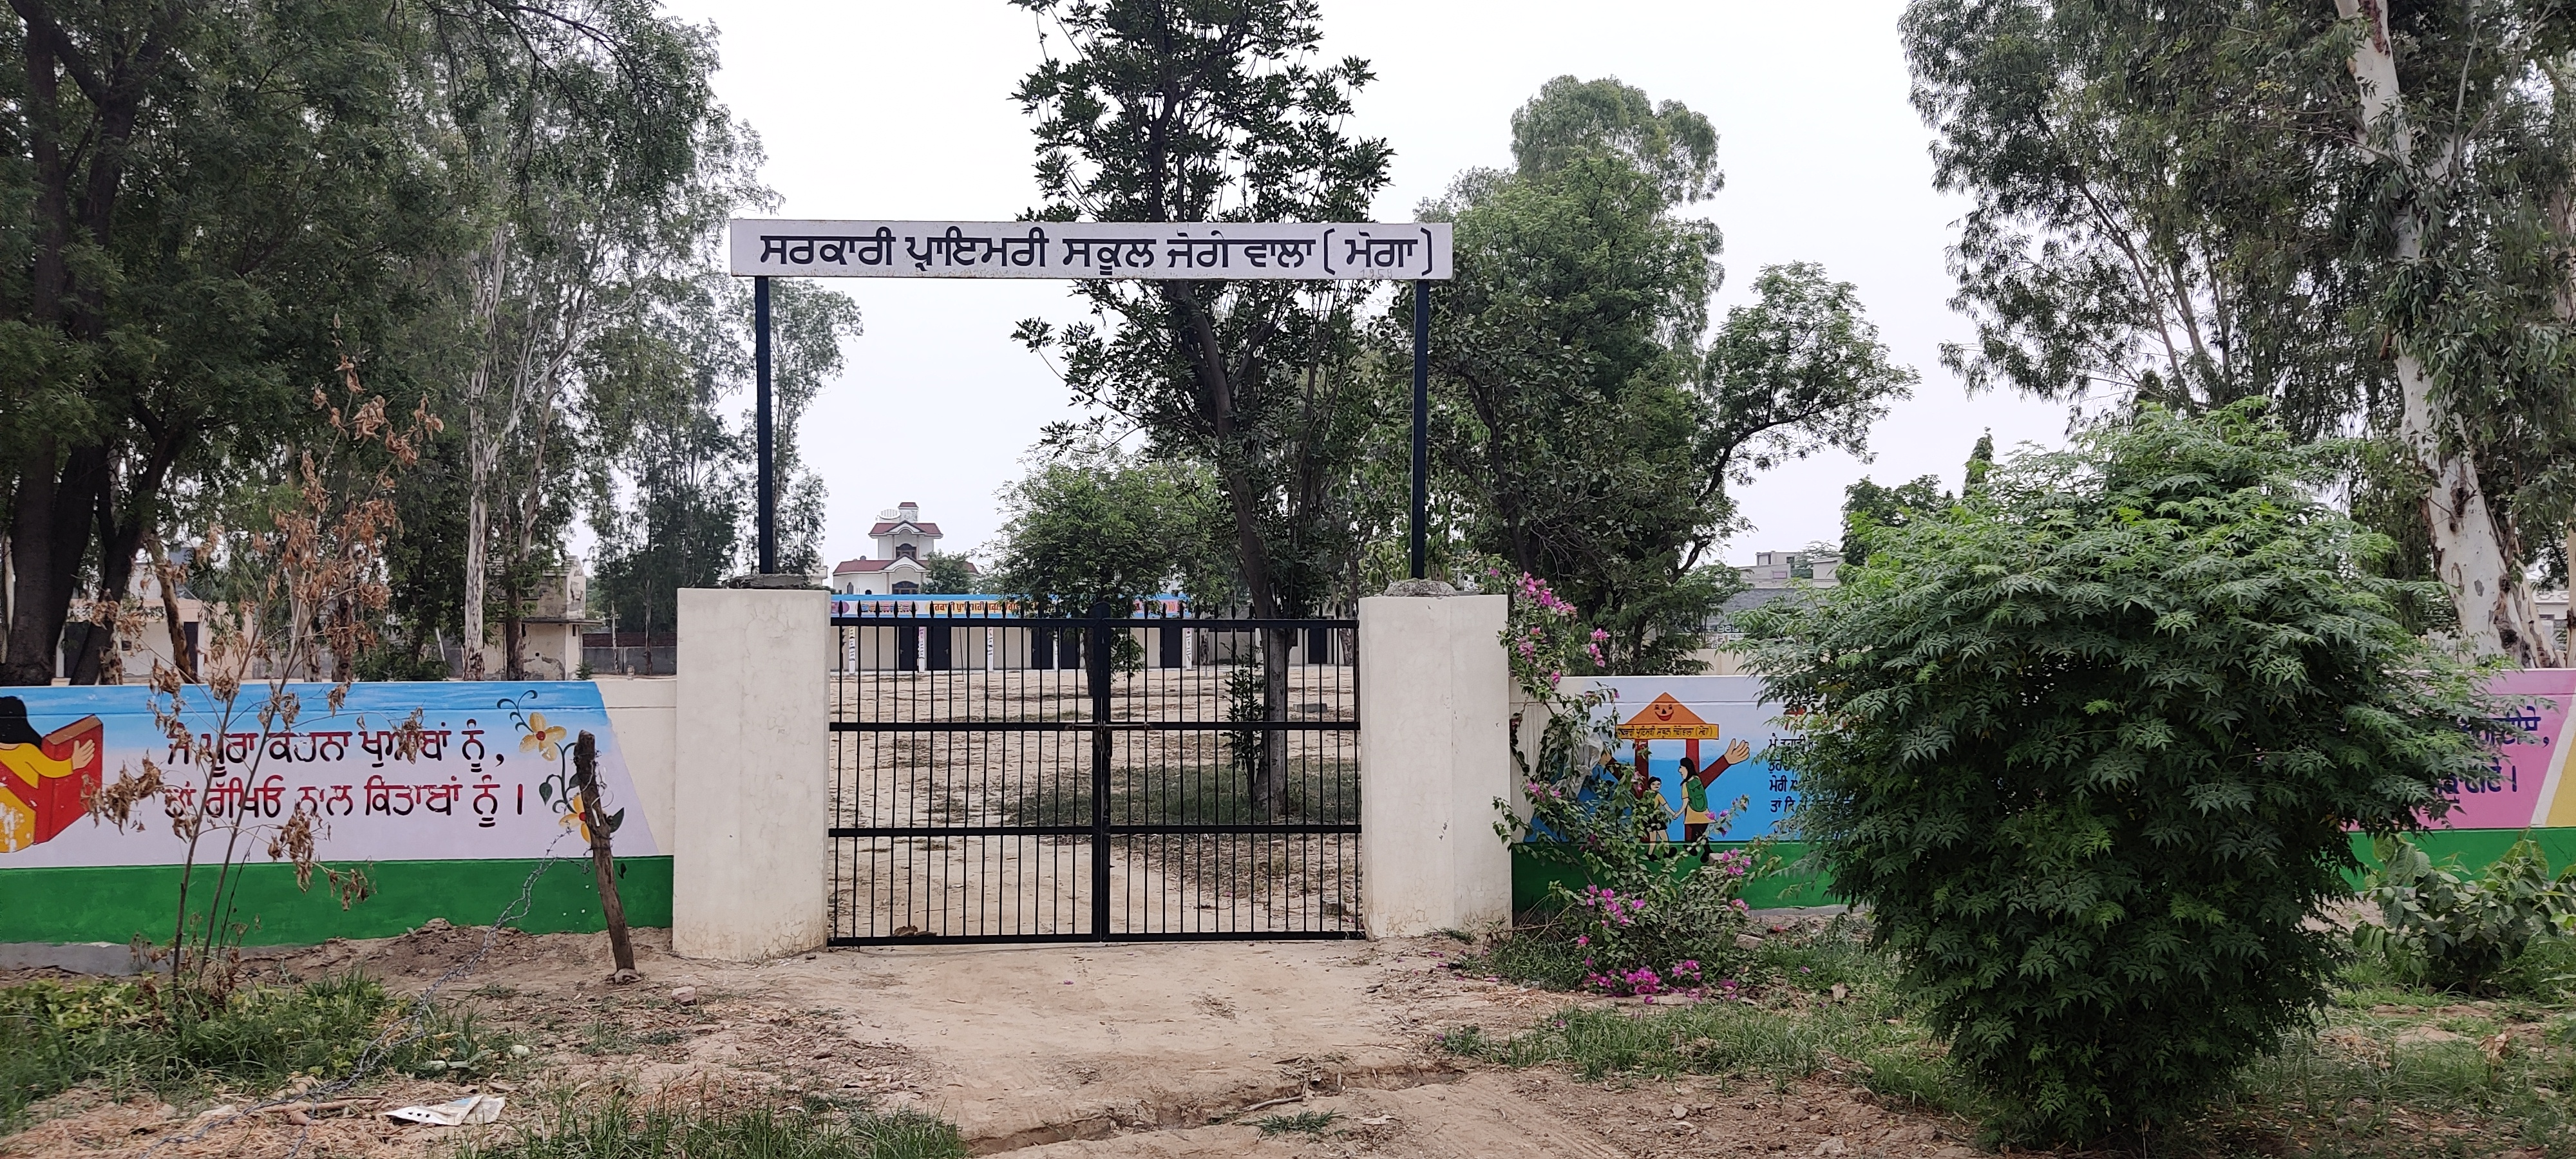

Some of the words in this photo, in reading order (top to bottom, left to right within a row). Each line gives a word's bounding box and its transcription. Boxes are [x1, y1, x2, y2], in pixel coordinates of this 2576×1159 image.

[751, 221, 900, 271] ਸਰਕਾਰੀ
[899, 222, 1055, 276] ਪ੍ਰਾਇਮਰੀ
[1052, 234, 1160, 278] ਸਕੂਲ
[1160, 223, 1321, 276] ਜੋਗੇਵਾਲਾ
[1336, 229, 1425, 272] ਮੋਗਾ
[263, 728, 357, 770] ਕਹਨਾ
[354, 715, 458, 771] ਖੁਆਬਾਂ
[455, 713, 489, 777] ਨੂੰ
[298, 778, 354, 828] ਨਾਲ
[357, 770, 464, 824] ਕਿਤਾਬਾਂ
[465, 771, 509, 832] ਨੂੰ
[1766, 795, 1783, 816] ਤਾ
[1766, 773, 1790, 793] ਮੇਰੀ